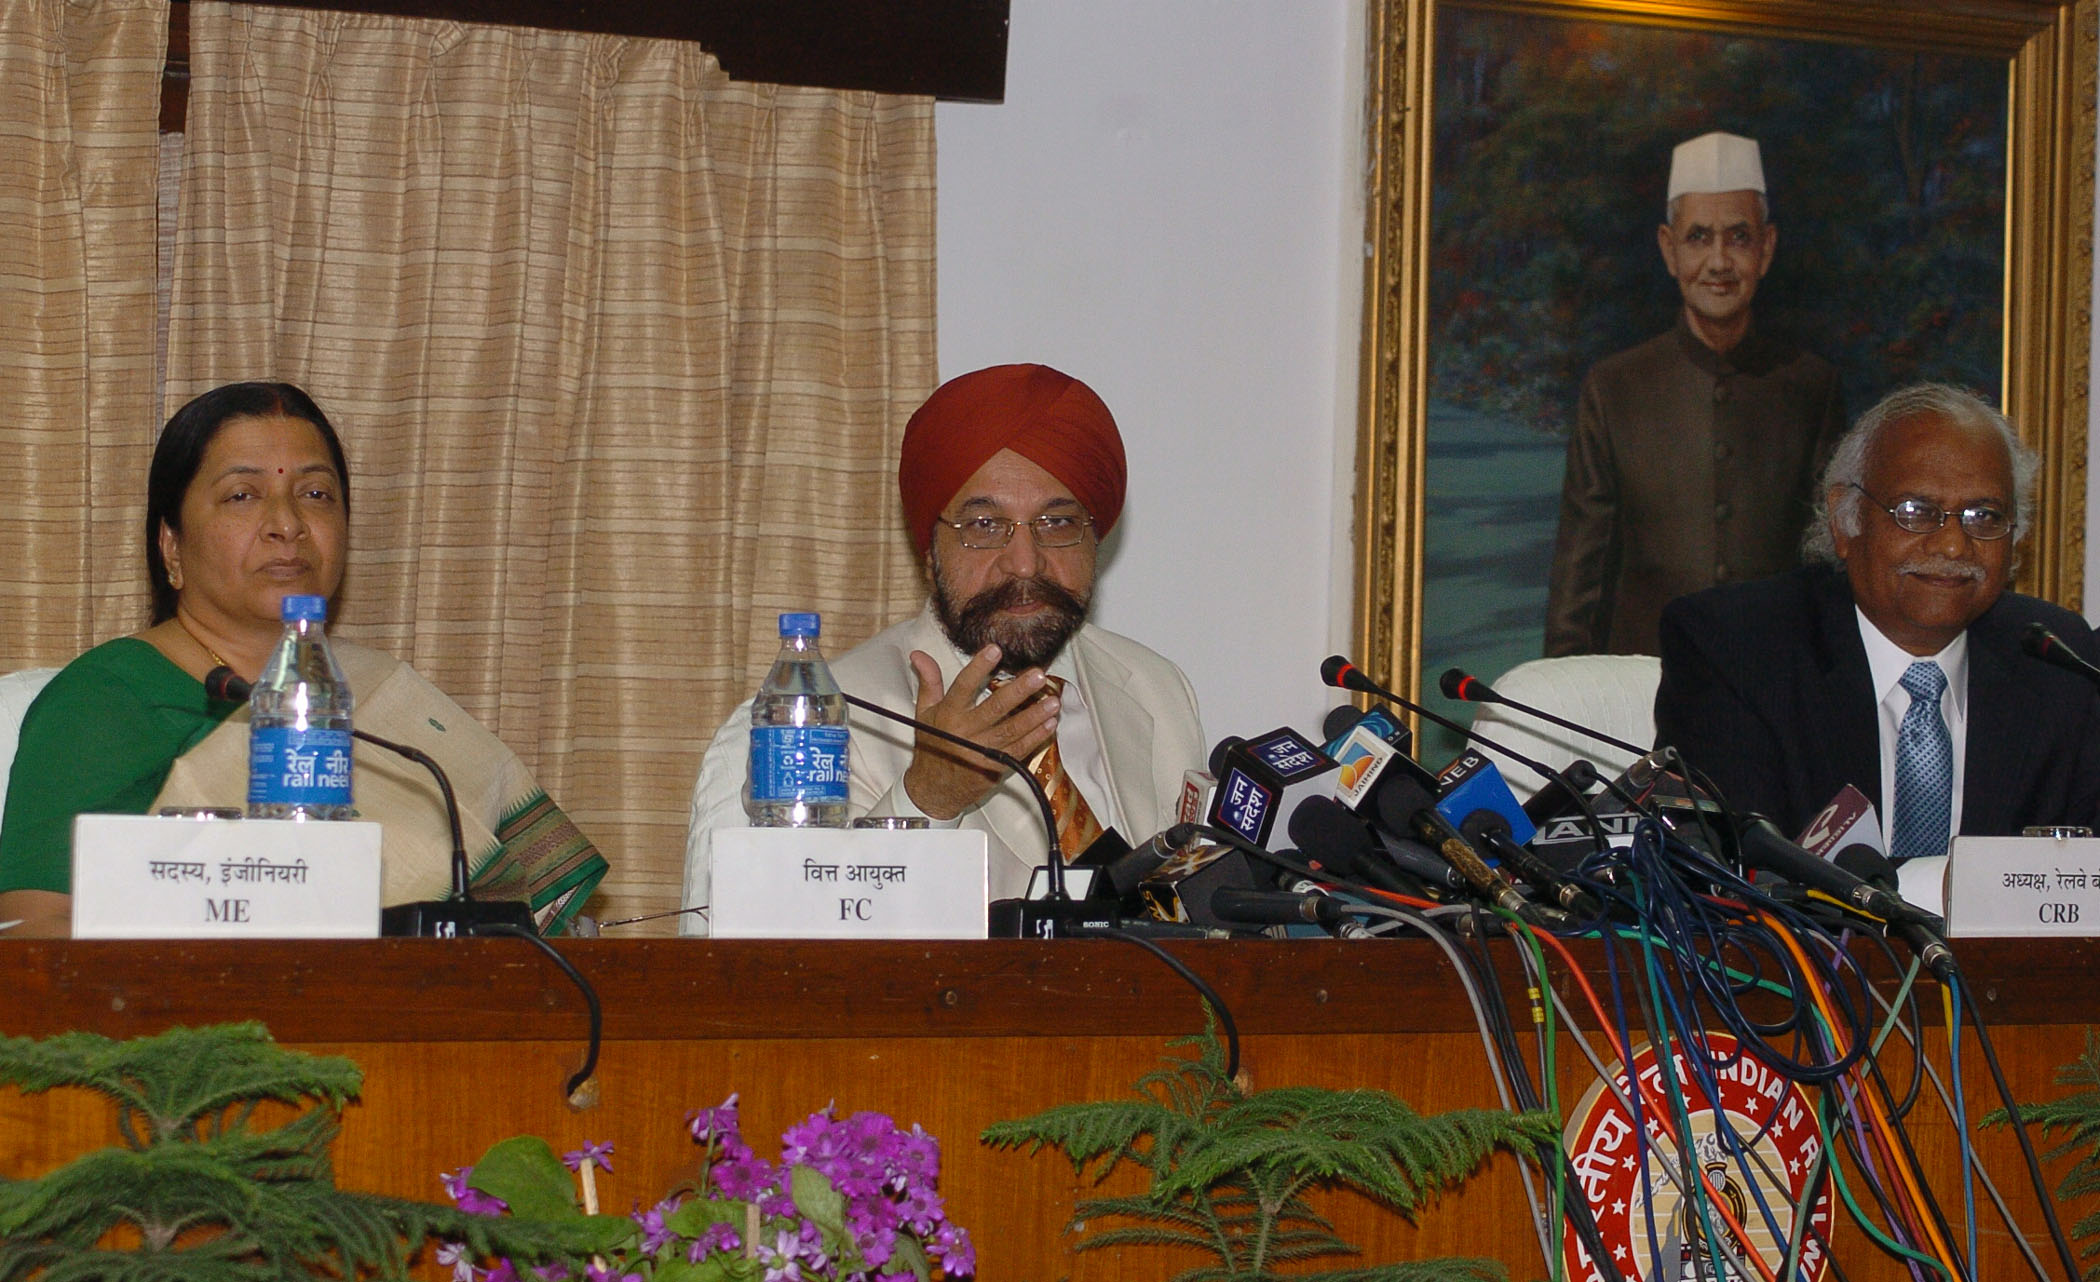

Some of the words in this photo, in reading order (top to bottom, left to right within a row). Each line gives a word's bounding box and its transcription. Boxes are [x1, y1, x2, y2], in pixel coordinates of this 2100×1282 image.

[149, 858, 209, 887] सदस्य
[213, 850, 313, 890] इंजीनियरी
[797, 852, 843, 885] वित्त
[843, 861, 913, 896] आयुक्त
[1998, 869, 2050, 893] अध्यक्ष,
[2049, 865, 2089, 894] रेलवे
[197, 894, 256, 927] ME
[832, 894, 876, 927] FC
[2033, 901, 2083, 927] CRB